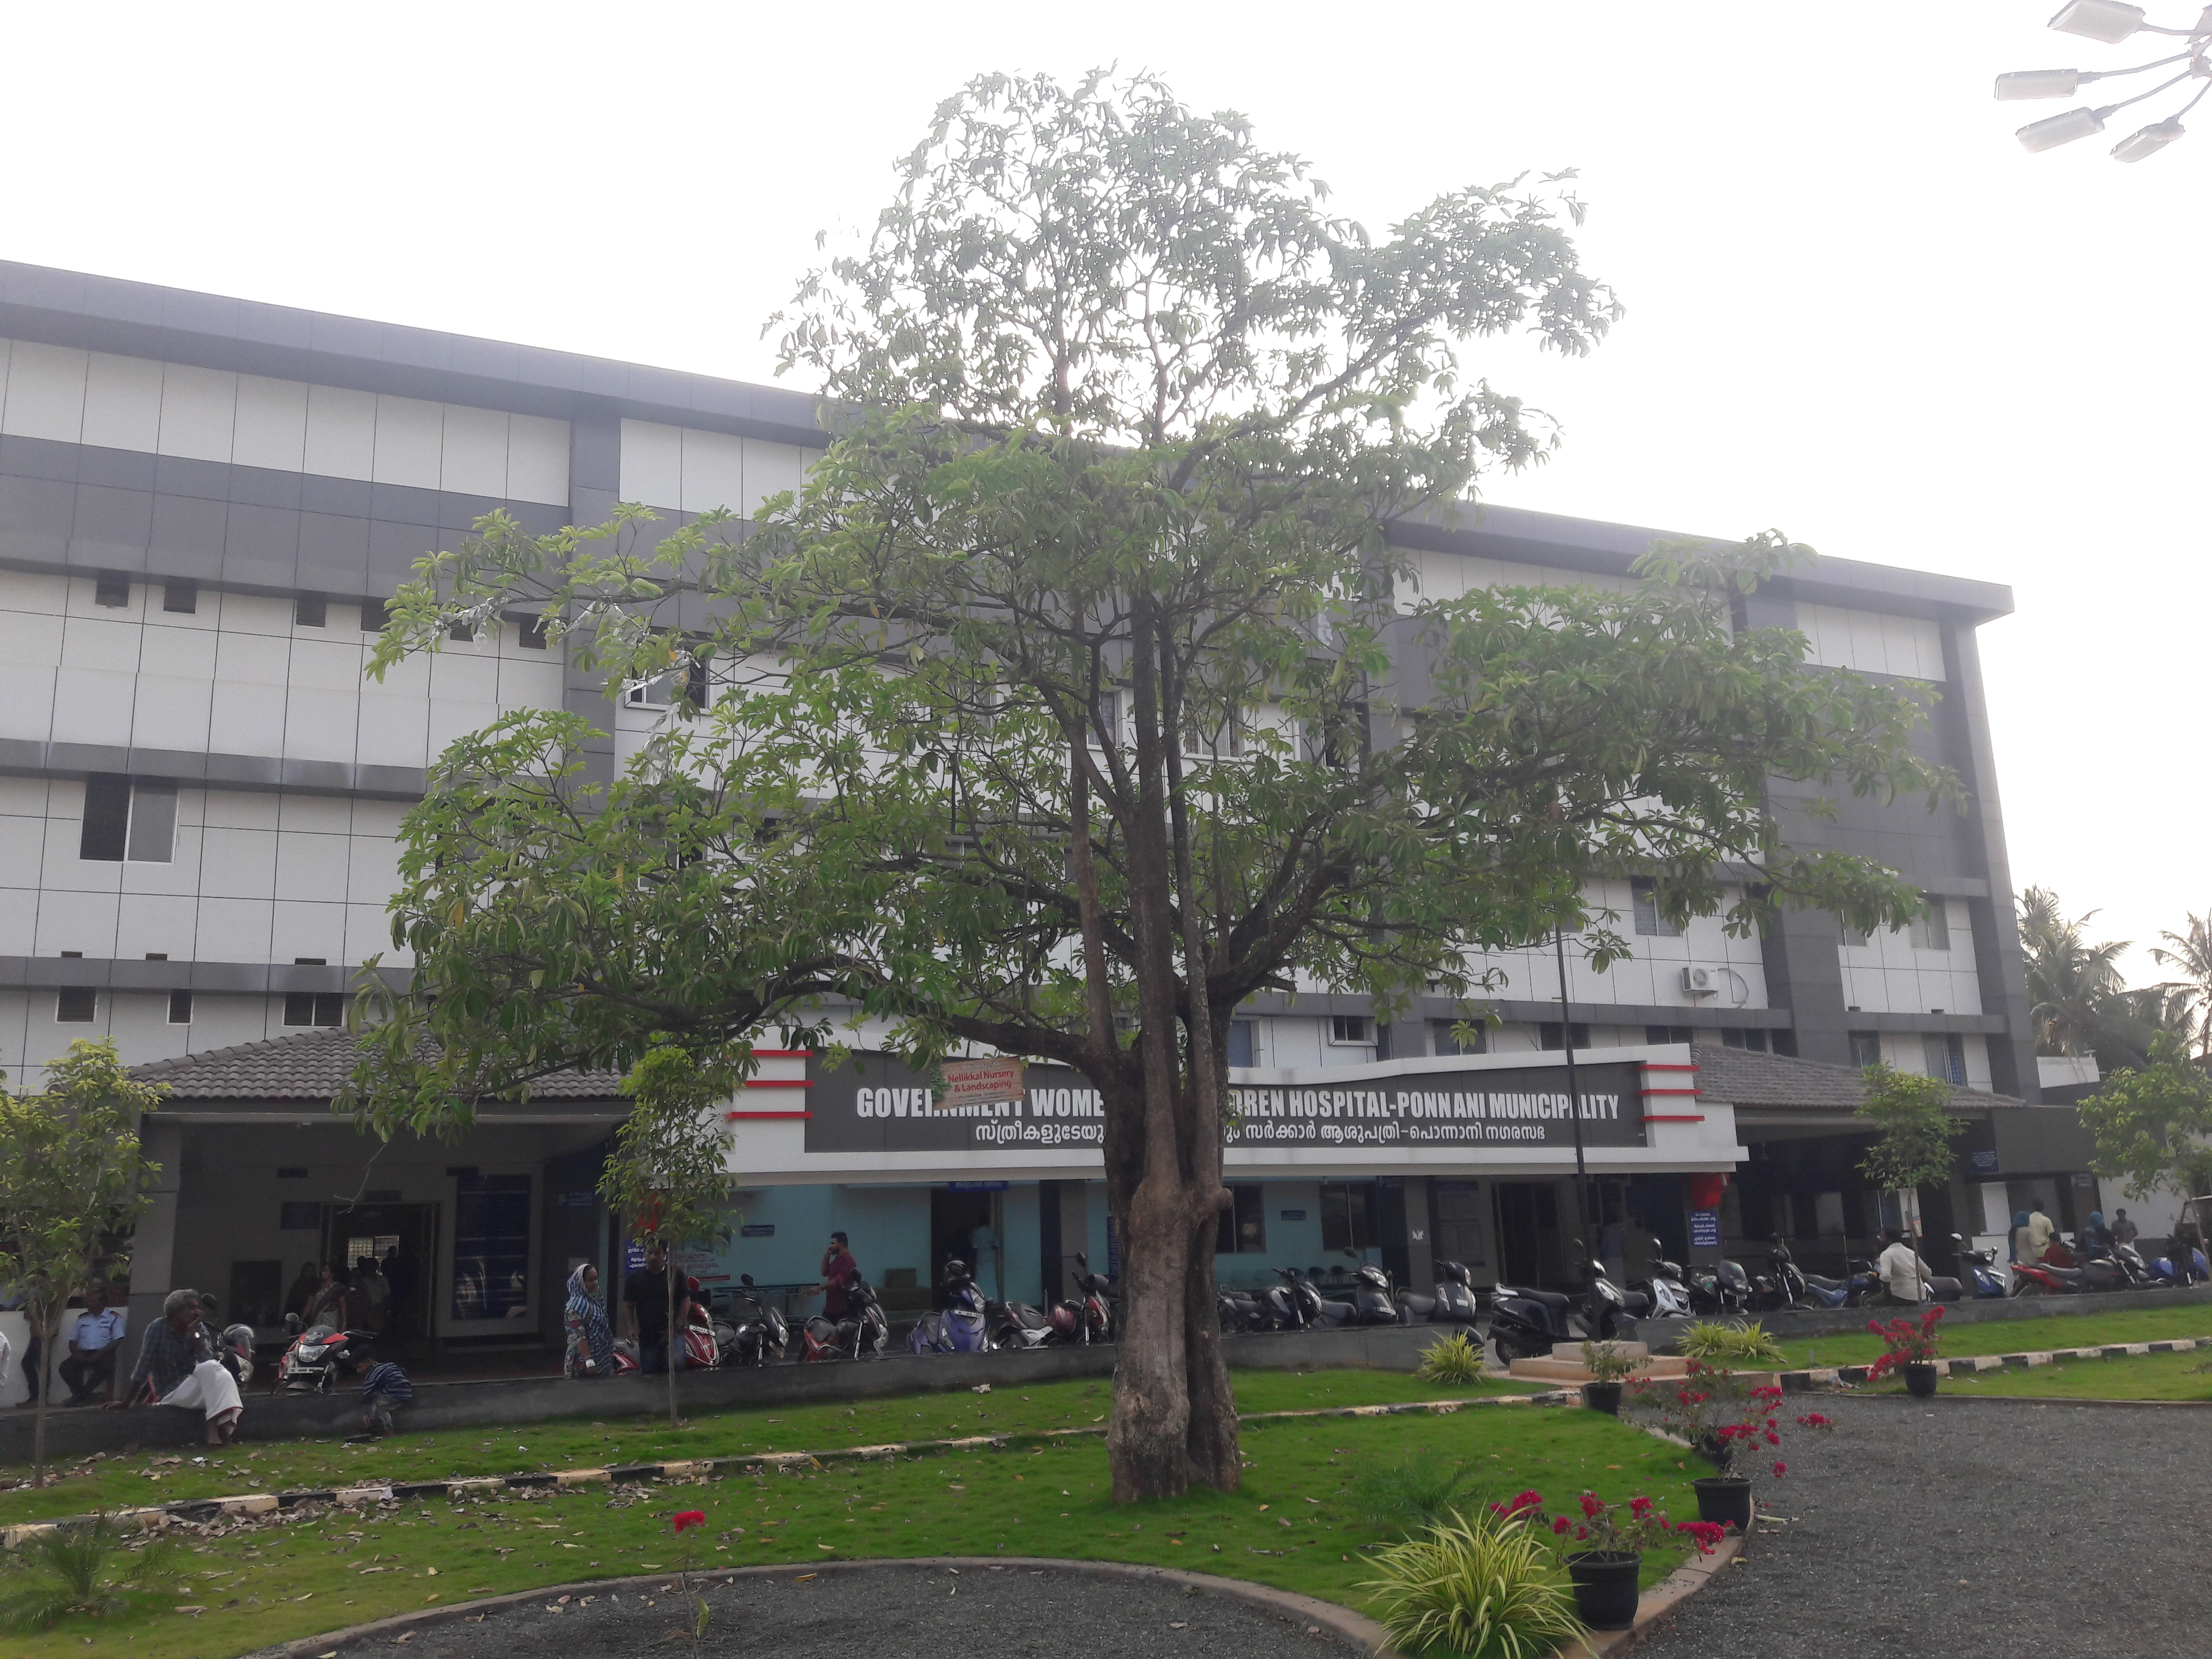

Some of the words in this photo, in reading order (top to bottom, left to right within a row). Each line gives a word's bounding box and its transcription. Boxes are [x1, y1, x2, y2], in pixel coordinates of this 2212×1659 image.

[950, 1082, 963, 1096] &
[943, 1070, 983, 1086] Nellikkal
[960, 1078, 1014, 1093] Landscaping
[981, 1067, 1015, 1080] Nursery
[1286, 1087, 1393, 1119] HOSPITAL
[1393, 1088, 1488, 1120] PONNANI
[1486, 1090, 1621, 1121] MUNICIPALITY
[970, 1115, 1108, 1147] സ്‌ത്രീകളുടേയു
[1244, 1117, 1318, 1142] സർക്കാർ
[1319, 1118, 1403, 1146] ആശുപത്രി
[1408, 1117, 1484, 1142] പൊന്നാനി
[1484, 1122, 1548, 1142] നഗരസഭ